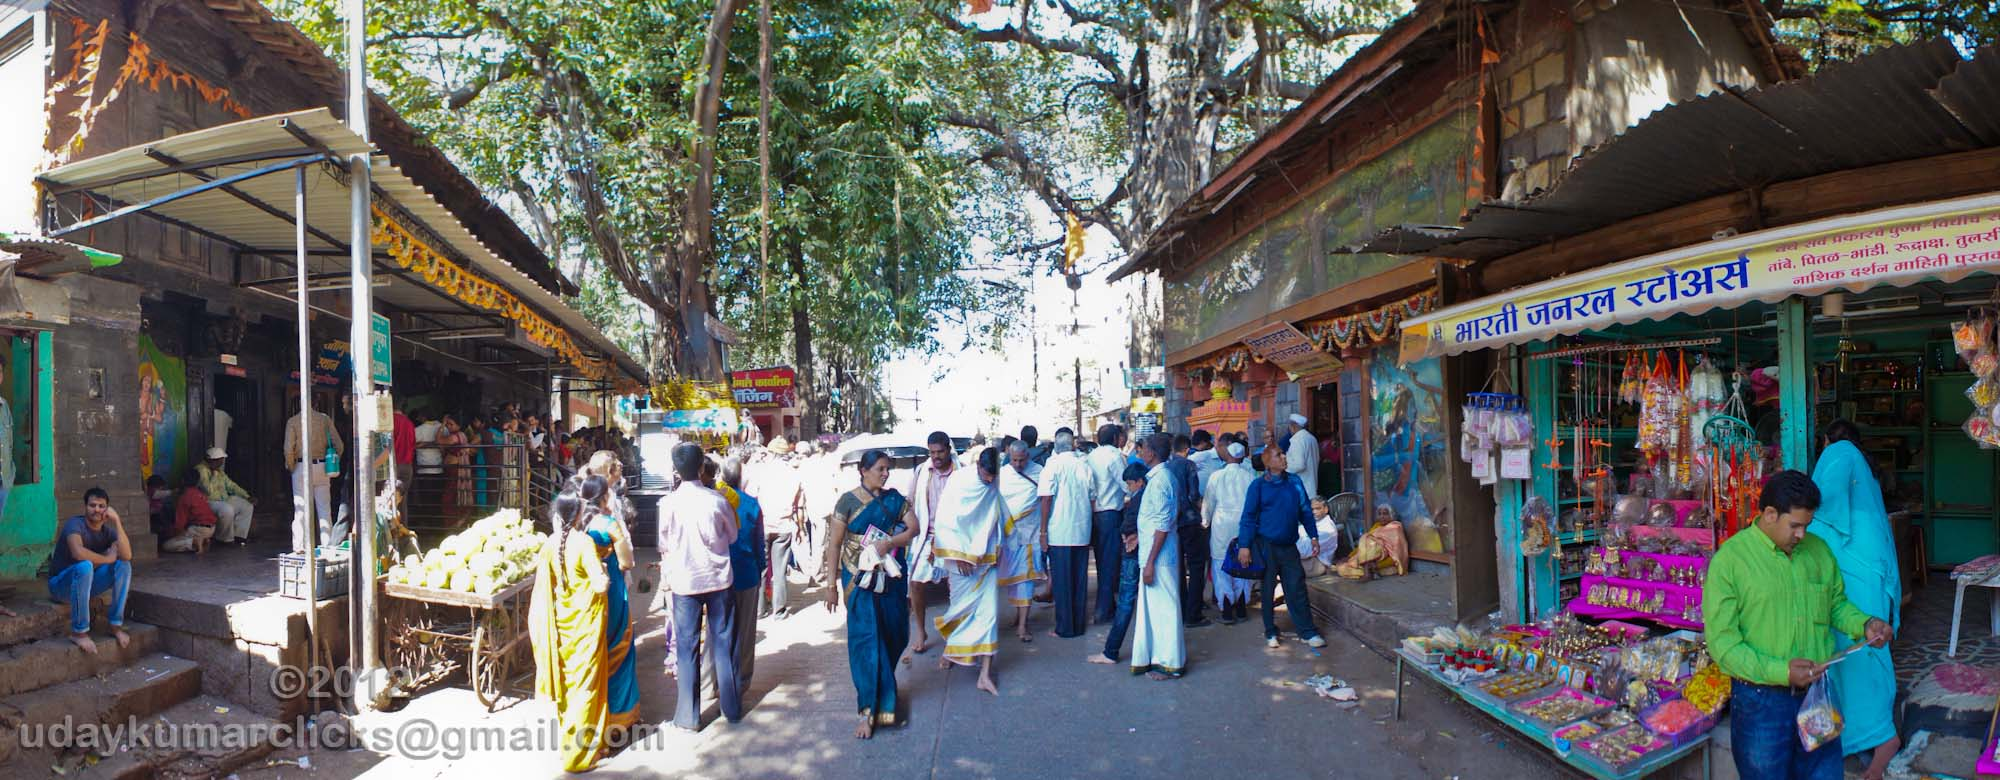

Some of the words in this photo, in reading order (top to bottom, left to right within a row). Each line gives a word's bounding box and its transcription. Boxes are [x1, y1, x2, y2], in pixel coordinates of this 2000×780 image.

[1925, 209, 1984, 234] विधाचे
[1624, 244, 1757, 312] स्टोअर्स
[1762, 254, 1794, 277] तांबे
[1790, 266, 1845, 287] नाशिक
[1799, 249, 1840, 266] पितळ
[1829, 224, 1890, 247] प्रकारचे
[1851, 261, 1887, 279] दर्शन
[1844, 237, 1897, 264] भांडी,
[1894, 237, 1945, 252] रूद्राक्ष
[1892, 251, 1948, 274] माहिती
[1952, 248, 1998, 267] पुस्तक
[1954, 227, 1999, 248] तुलसी
[1521, 282, 1620, 332] जनरल
[1455, 297, 1524, 344] भारती
[266, 650, 419, 705] ©2012
[19, 707, 677, 761] udaykumarclicks@gmail.com